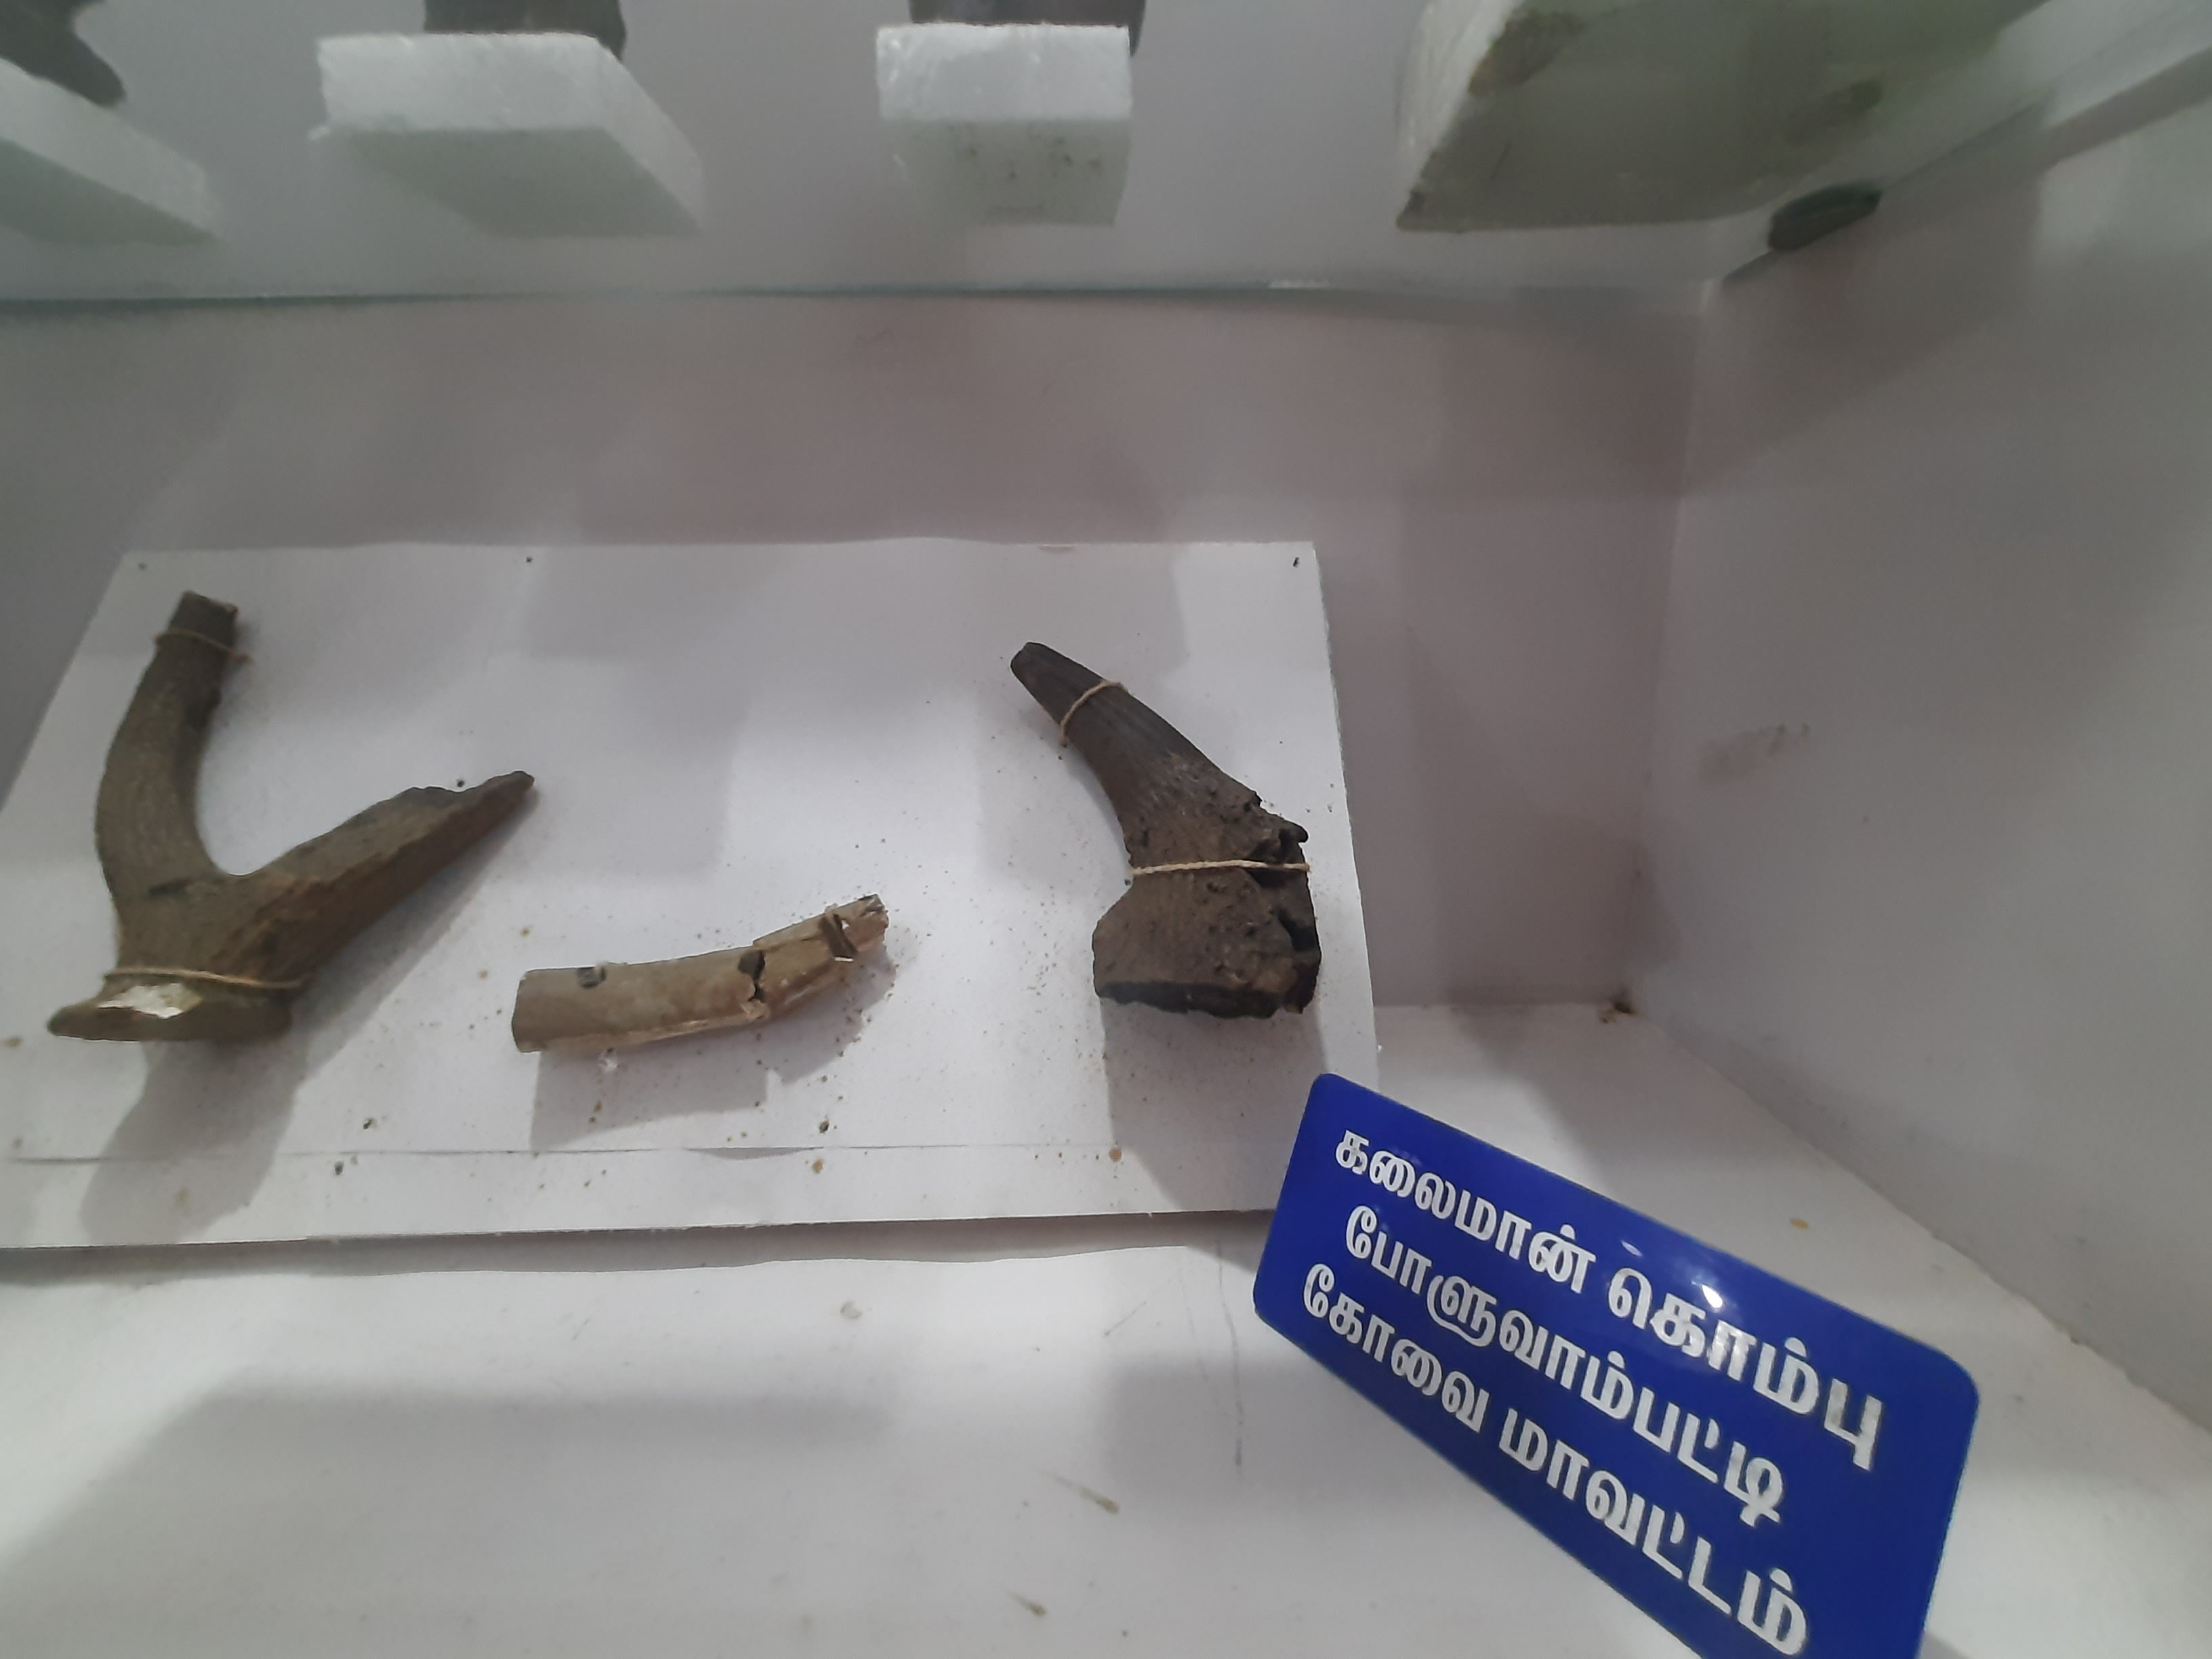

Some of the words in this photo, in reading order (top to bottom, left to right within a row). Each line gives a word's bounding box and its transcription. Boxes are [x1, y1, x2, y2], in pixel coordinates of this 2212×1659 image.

[1332, 1120, 1599, 1298] கலைமான்
[1291, 1254, 1494, 1437] கோவை
[1340, 1201, 1787, 1532] போளுவாம்பட்டி
[1603, 1264, 1886, 1476] கொம்பு
[1493, 1404, 1813, 1658] மாவட்டம்